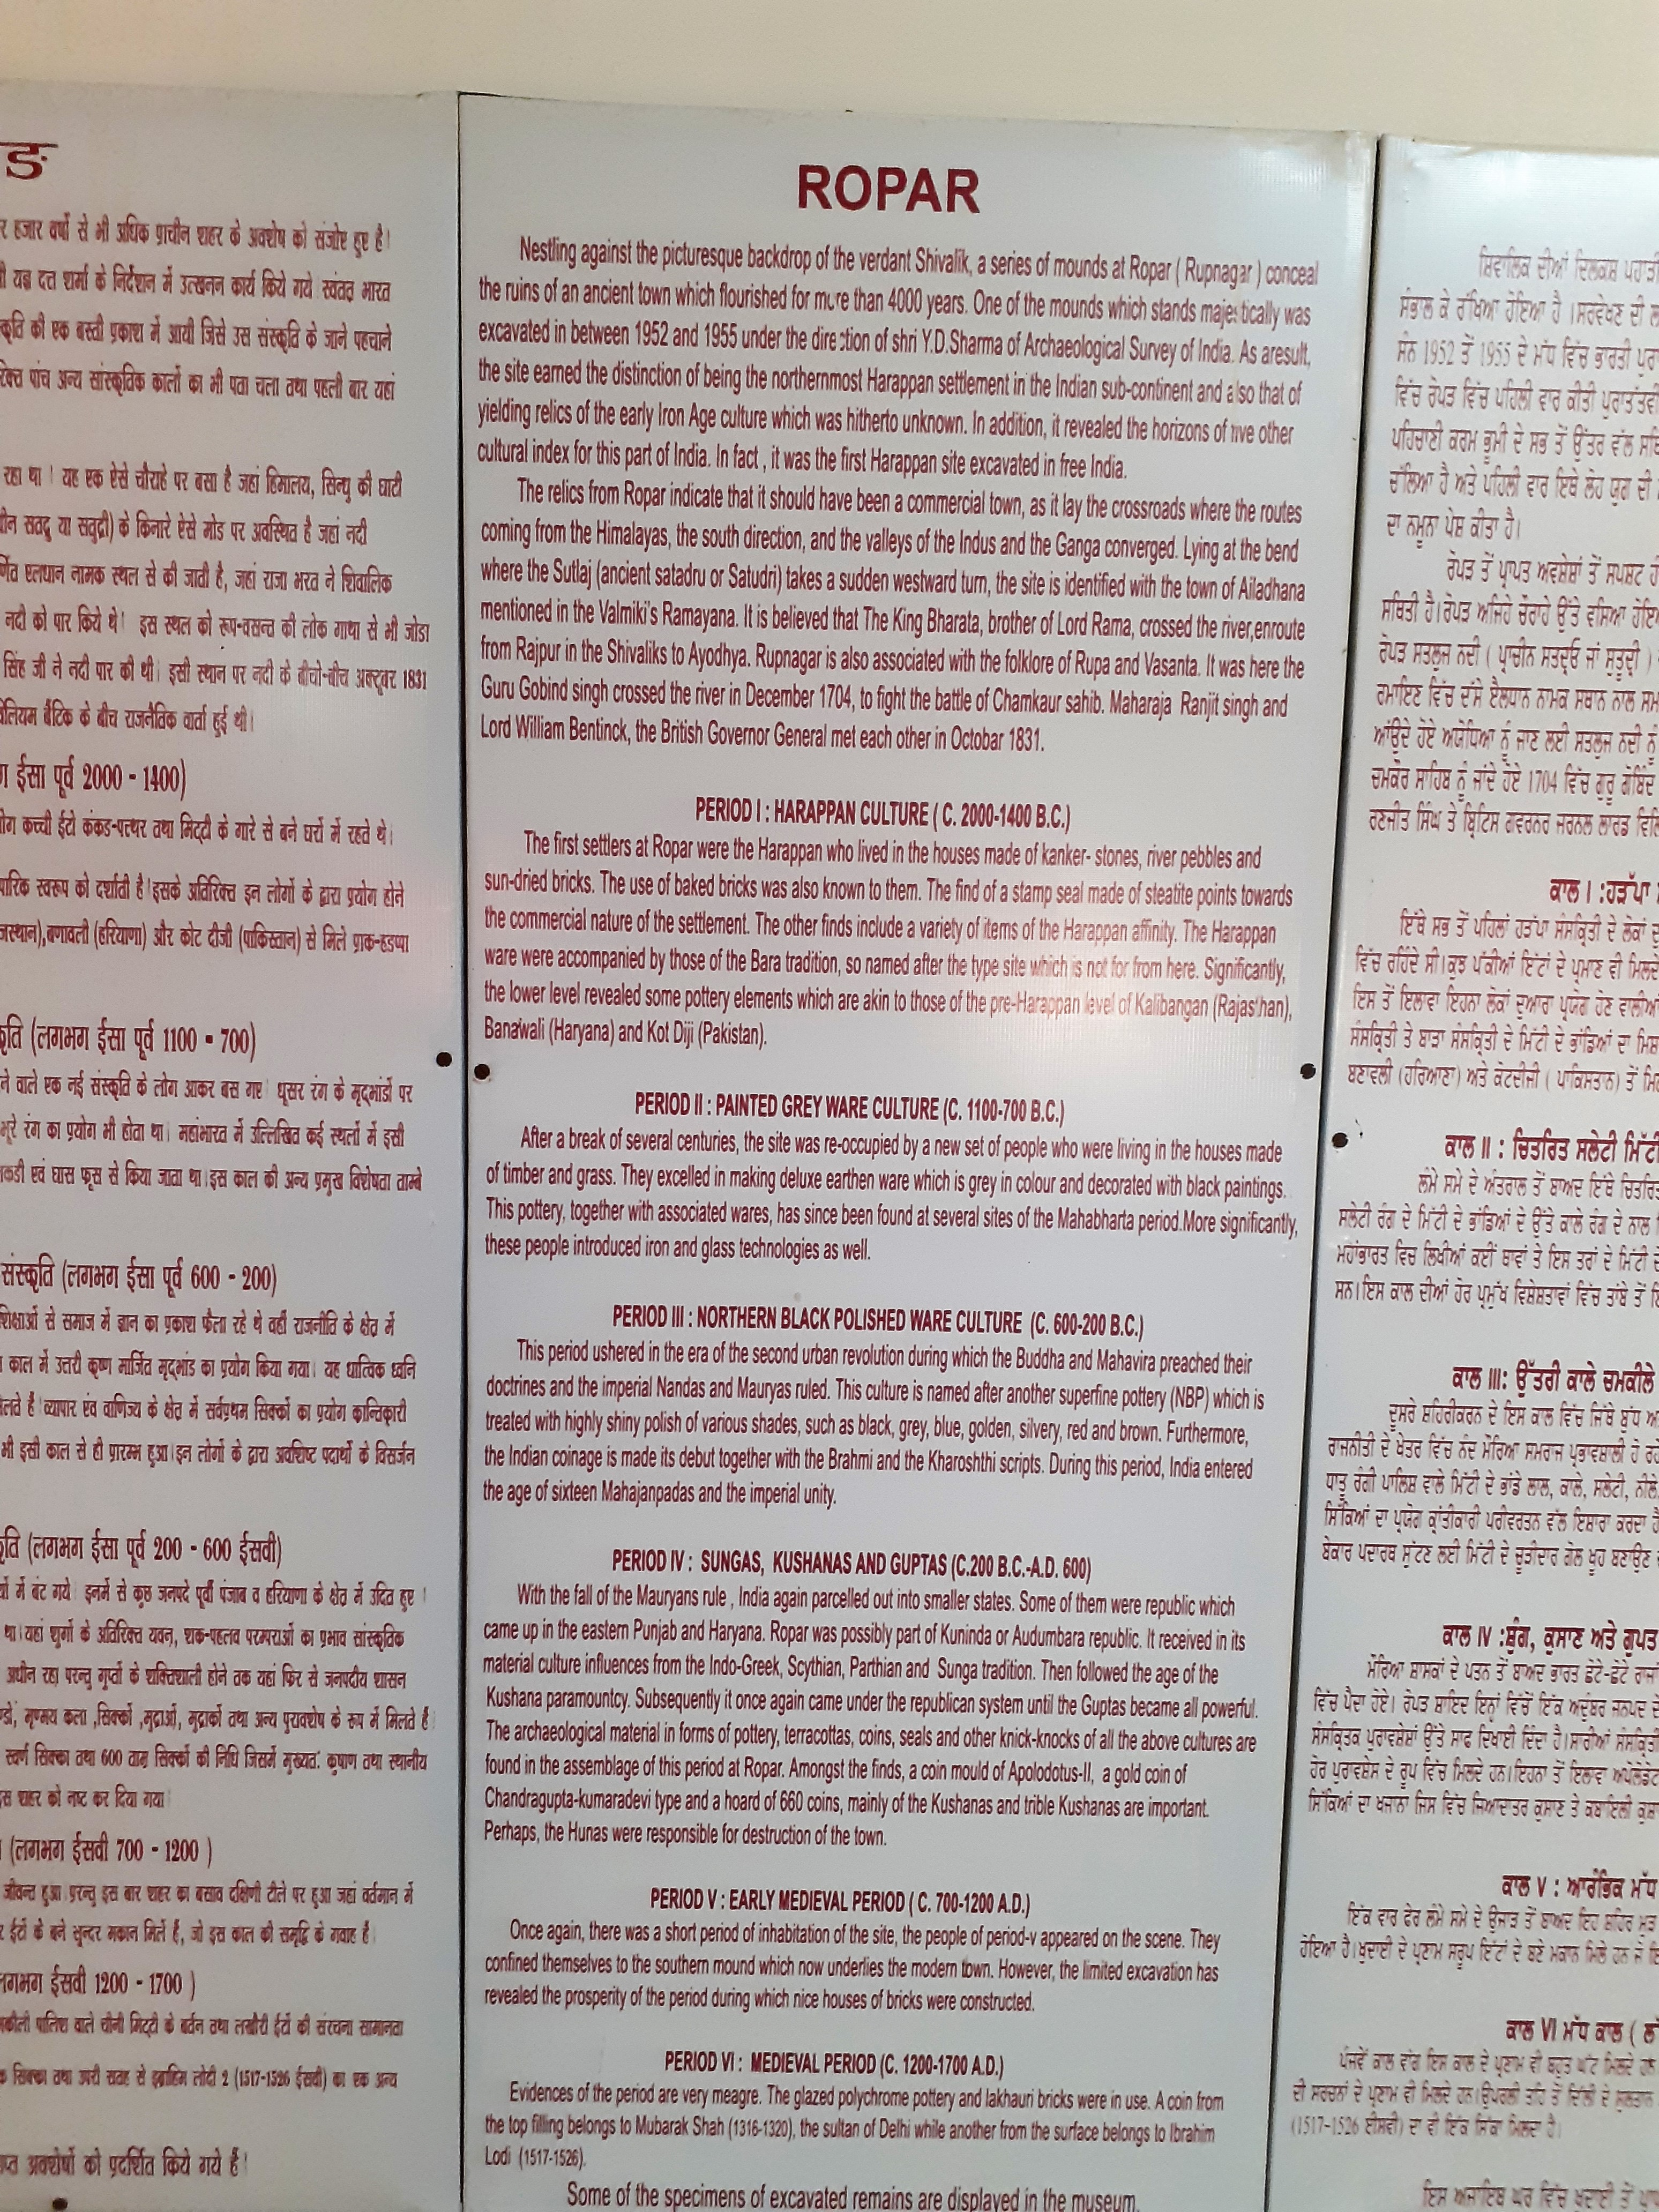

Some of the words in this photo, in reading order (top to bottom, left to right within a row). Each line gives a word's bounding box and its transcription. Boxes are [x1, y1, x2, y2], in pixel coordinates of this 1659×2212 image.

[122, 1526, 152, 1572] पूर्व
[147, 1532, 185, 1570] 200
[199, 1533, 236, 1570] 600
[236, 1526, 281, 1573] ईसवी
[610, 1547, 669, 1576] PERIOD
[667, 1546, 689, 1578] IV
[699, 1549, 764, 1575] SUNGAS.
[771, 1548, 854, 1576] KUSHANAS
[854, 1548, 887, 1576] AND
[887, 1548, 948, 1579] GUPTAS
[954, 1551, 996, 1581] C.200
[996, 1550, 1011, 1579] B.
[1010, 1550, 1025, 1580] C
[1028, 1552, 1060, 1580] A.D.
[1060, 1553, 1089, 1581] 600
[1319, 1534, 1355, 1564] ਬੇਕਾਰ
[1356, 1538, 1399, 1565] ਪਦਾਰਥ
[1399, 1538, 1434, 1572] ਸੁੱਟਣ
[1432, 1536, 1463, 1568] ਲਈ
[1463, 1534, 1497, 1571] ਮਿੱਟੀ
[1498, 1536, 1512, 1572] ਦੇ
[1510, 1539, 1564, 1579] ਚੂੜੀਦਾਰ
[1559, 1537, 1588, 1571] ਗੋਲ
[1584, 1540, 1612, 1580] ਖੂਹ
[1609, 1538, 1654, 1576] ਬਣਾਉਣ
[12, 1570, 28, 1604] में
[29, 1573, 50, 1604] बंट
[48, 1573, 78, 1605] गये
[79, 1572, 115, 1607] इनमें
[113, 1575, 131, 1606] से
[130, 1579, 155, 1612] कुछ
[155, 1576, 195, 1607] जनपदे
[193, 1576, 217, 1611] पूर्वी
[217, 1576, 249, 1605] पंजाब
[249, 1582, 263, 1606] व
[262, 1577, 311, 1610] हरियाणा
[310, 1576, 327, 1609] क‍े
[326, 1574, 350, 1608] क्षेत
[350, 1577, 368, 1611] में
[367, 1573, 397, 1611] उदित
[397, 1583, 419, 1617] हुए
[515, 1581, 548, 1607] With
[547, 1580, 572, 1607] the
[571, 1580, 597, 1609] fall
[595, 1580, 612, 1608] of
[612, 1581, 636, 1608] the
[633, 1581, 700, 1613] Mauryans
[699, 1583, 730, 1611] rule
[736, 1581, 771, 1609] India
[771, 1585, 810, 1615] again
[809, 1584, 871, 1615] parcelled
[871, 1585, 895, 1611] out
[893, 1583, 921, 1612] into
[921, 1584, 970, 1613] smaller
[970, 1587, 1013, 1614] states
[1017, 1586, 1058, 1615] Some
[1057, 1587, 1074, 1618] of
[1073, 1589, 1111, 1617] them
[1109, 1595, 1143, 1619] were
[1141, 1591, 1196, 1621] republic
[1197, 1592, 1238, 1619] which
[1, 1616, 19, 1646] था
[21, 1613, 48, 1648] यहां
[48, 1615, 79, 1650] थुर्गो
[77, 1616, 94, 1649] क‌‌ੇ
[95, 1614, 147, 1649] अतिरिक्‍त
[146, 1625, 178, 1650] यवन
[180, 1622, 245, 1651] शक-पहलव
[243, 1619, 300, 1653] परम्पराओं
[297, 1622, 317, 1649] का
[317, 1626, 349, 1653] प्रभाव
[351, 1619, 408, 1655] सांस्कृतिक
[481, 1620, 522, 1641] came
[518, 1619, 540, 1647] up
[540, 1614, 557, 1643] in
[554, 1616, 579, 1642] the
[579, 1617, 630, 1643] eastern
[631, 1613, 680, 1649] Punjab
[679, 1617, 707, 1642] and
[706, 1617, 764, 1650] Haryana.
[768, 1615, 810, 1649] Ropar
[809, 1623, 840, 1646] was
[839, 1620, 895, 1653] possibly
[894, 1622, 923, 1654] part
[922, 1617, 940, 1647] of
[939, 1620, 993, 1650] Kuninda
[993, 1625, 1012, 1647] or
[1010, 1623, 1088, 1650] Audumbara
[1087, 1624, 1141, 1654] republic
[1145, 1625, 1158, 1651] It
[1156, 1626, 1214, 1652] received
[1214, 1626, 1229, 1653] in
[1228, 1627, 1249, 1654] its
[1439, 1620, 1476, 1649] ਕਾਲ
[1474, 1620, 1497, 1650] IV
[1504, 1611, 1535, 1656] ਥੁੰਗ
[1539, 1618, 1587, 1660] ਕੁਸਣ
[1586, 1614, 1620, 1652] ਅਤੇ
[1, 1739, 32, 1770] स्वर्ण
[3, 1656, 40, 1688] अधीन
[20, 1703, 61, 1731] मृण्मय
[38, 1663, 62, 1691] रहा
[32, 1736, 73, 1772] सिक्का
[58, 1703, 92, 1732] कला
[62, 1660, 95, 1693] परन्तु
[73, 1744, 99, 1770] तथा
[96, 1657, 125, 1693] गुप्तों
[99, 1743, 125, 1770] 600
[92, 1697, 137, 1731] सिक्कों
[125, 1657, 143, 1689] के
[125, 1745, 153, 1772] ਗਸ੍ਰ
[141, 1700, 180, 1735] मुद्राओं
[151, 1739, 192, 1774] सिक्कों
[142, 1658, 205, 1690] शक्तिशाली
[191, 1741, 213, 1774] की
[183, 1700, 226, 1736] मुद्राकों
[205, 1658, 230, 1690] होने
[212, 1739, 243, 1772] निधि
[223, 1705, 252, 1733] तथा
[230, 1665, 255, 1690] तक
[241, 1739, 281, 1774] जिसमें
[250, 1707, 280, 1731] अन्य
[255, 1658, 278, 1691] यहां
[279, 1659, 306, 1693] फिर
[278, 1745, 323, 1778] मुख्यतः
[280, 1699, 328, 1737] पुरावशेष
[305, 1658, 322, 1693] से
[326, 1702, 344, 1732] के
[324, 1749, 358, 1779] कुषाण
[322, 1661, 372, 1691] जनपदीय
[345, 1709, 367, 1732] रूप
[358, 1750, 386, 1772] तथा
[367, 1704, 382, 1732] में
[372, 1670, 412, 1692] शासन
[381, 1701, 418, 1732] मिलते
[386, 1745, 430, 1774] स्थानीय
[420, 1702, 432, 1733] र्है
[484, 1717, 512, 1743] The
[483, 1752, 523, 1778] found
[480, 1649, 536, 1675] material
[485, 1682, 545, 1711] Kushana
[522, 1751, 539, 1777] in
[536, 1750, 562, 1778] the
[535, 1650, 582, 1675] culture
[512, 1716, 609, 1751] archaeological
[544, 1687, 632, 1717] paramountcy.
[559, 1752, 641, 1785] assemblage
[582, 1648, 654, 1678] influences
[609, 1716, 663, 1744] material
[639, 1750, 657, 1778] of
[651, 1650, 683, 1677] from
[662, 1721, 677, 1744] in
[657, 1752, 685, 1781] this
[634, 1683, 722, 1716] Subsequently
[683, 1651, 708, 1678] the
[677, 1716, 716, 1745] forms
[682, 1752, 727, 1784] period
[715, 1718, 733, 1746] of
[721, 1687, 735, 1712] it
[726, 1754, 742, 1782] at
[707, 1652, 783, 1677] Indo-Greek,
[734, 1687, 768, 1712] once
[731, 1721, 780, 1751] pottery
[741, 1754, 787, 1785] Ropar.
[768, 1686, 806, 1716] again
[785, 1651, 845, 1685] Scythian,
[786, 1754, 847, 1786] Amongst
[783, 1723, 854, 1748] terracottas,
[806, 1691, 845, 1713] came
[846, 1754, 870, 1782] the
[843, 1688, 886, 1716] under
[856, 1723, 894, 1747] coins,
[847, 1653, 905, 1679] Parthian
[870, 1754, 903, 1784] finds,
[886, 1686, 908, 1715] the
[906, 1760, 920, 1784] a
[898, 1724, 935, 1748] seals
[903, 1654, 931, 1682] and
[918, 1756, 950, 1783] coin
[907, 1689, 977, 1720] republican
[934, 1724, 964, 1750] and
[933, 1654, 980, 1687] Sunga
[950, 1759, 991, 1783] mould
[961, 1724, 999, 1749] other
[989, 1757, 1008, 1785] of
[976, 1692, 1025, 1723] system
[980, 1655, 1034, 1682] tradition
[1024, 1690, 1056, 1718] until
[997, 1724, 1083, 1751] knick-knocks
[1005, 1756, 1095, 1789] Apolodotus-II.
[1037, 1656, 1077, 1684] Then
[1056, 1690, 1079, 1720] the
[1083, 1723, 1098, 1751] of
[1074, 1653, 1131, 1684] followed
[1079, 1691, 1129, 1722] Guptas
[1098, 1761, 1112, 1787] a
[1097, 1724, 1116, 1753] all
[1115, 1727, 1138, 1753] the
[1111, 1758, 1144, 1792] gold
[1132, 1661, 1154, 1684] the
[1128, 1693, 1182, 1720] became
[1144, 1758, 1172, 1786] coin
[1138, 1727, 1180, 1753] above
[1154, 1662, 1180, 1690] age
[1172, 1759, 1192, 1787] of
[1180, 1658, 1197, 1686] of
[1181, 1693, 1201, 1723] all
[1181, 1726, 1235, 1756] cultures
[1195, 1660, 1222, 1687] the
[1199, 1695, 1258, 1724] powerful.
[1234, 1730, 1260, 1755] are
[1306, 1751, 1329, 1784] ਹੋਰ
[1311, 1683, 1341, 1716] ਵਿਂਚ
[1307, 1715, 1365, 1752] ਸੰਸਕ੍ਰਿਤਕ
[1339, 1681, 1369, 1715] ਪੈਦਾ
[1328, 1753, 1384, 1786] ਪੁਰਾਵਸ਼ੇਸ
[1369, 1683, 1392, 1715] ਹੋਏ
[1363, 1649, 1407, 1683] ਮੋਰਿਆ
[1382, 1752, 1399, 1783] ਦੇ
[1364, 1719, 1421, 1753] ਪੁਰਾਵਸ਼ੇਸ਼ਾਂ
[1396, 1759, 1419, 1792] ਰੂਪ
[1399, 1685, 1432, 1715] ਰੋਪੜ
[1406, 1651, 1447, 1684] ਸ਼ਾਸਕਾਂ
[1421, 1717, 1447, 1756] ਉੱਤੇ
[1419, 1755, 1450, 1784] ਵਿੱਚ
[1431, 1683, 1472, 1718] ਥਾਇਦ
[1448, 1653, 1462, 1683] ਦੇ
[1446, 1722, 1475, 1751] ਸਾਫ
[1449, 1752, 1486, 1786] ਮਿਲਦੇ
[1463, 1655, 1494, 1686] ਪਤਨ
[1471, 1685, 1504, 1725] ਇਨ੍ਹਾਂ
[1474, 1721, 1519, 1754] ਦਿਖਾਈ
[1486, 1759, 1508, 1788] ਹਨ
[1492, 1653, 1511, 1683] ਤੋਂ
[1504, 1682, 1536, 1721] ਵਿੱਚੋਂ
[1507, 1657, 1549, 1684] ਬਾਅਦ
[1510, 1756, 1549, 1787] ਇਹਨਾ
[1518, 1720, 1552, 1755] ਦਿੰਦਾ
[1536, 1685, 1567, 1721] ਇੱਕ
[1551, 1720, 1564, 1754] ਹੈ
[1550, 1752, 1567, 1788] ਤੋਂ
[1548, 1660, 1583, 1687] ਭਾਰਤ
[1566, 1686, 1608, 1724] ਅਦੁੰਬਰ
[1565, 1756, 1611, 1791] ਇਲਾਵਾ
[1567, 1723, 1614, 1756] ਸਾਰੀਆਂ
[1583, 1654, 1632, 1690] ਛਟੇ-ਛੋਟੇ
[1608, 1692, 1650, 1722] ਜਨਪਦ
[13, 1785, 44, 1812] शहर
[43, 1781, 65, 1812] काे
[66, 1785, 91, 1813] नष्ट
[89, 1784, 112, 1812] क‍र
[111, 1780, 141, 1815] दिया
[142, 1786, 168, 1813] गया
[482, 1785, 655, 1815] Chandragupta-kumaradevi
[652, 1787, 683, 1819] type
[682, 1787, 712, 1814] and
[711, 1791, 723, 1813] a
[723, 1788, 761, 1814] hoard
[761, 1785, 779, 1814] of
[778, 1786, 805, 1815] 660
[804, 1789, 843, 1816] coins,
[844, 1787, 890, 1821] mainly
[890, 1788, 907, 1815] of
[906, 1788, 930, 1818] the
[928, 1788, 994, 1817] Kushanas
[994, 1791, 1025, 1817] and
[1021, 1791, 1057, 1818] trible
[1054, 1791, 1122, 1820] Kushanas
[1120, 1797, 1145, 1820] are
[1144, 1792, 1210, 1827] important.
[1303, 1782, 1356, 1819] ਸਿੱਕਿਆਂ
[1352, 1789, 1374, 1817] ਦਾ
[1372, 1789, 1414, 1819] ਖਜਾਨਾ
[1412, 1785, 1441, 1820] ਜਿਸ
[1438, 1788, 1470, 1820] ਵਿੱਚ
[1468, 1788, 1532, 1820] ਜਿਆਦਾਤਰ
[1532, 1793, 1569, 1824] ਕੁਸਾਣ
[1568, 1788, 1586, 1821] ਤੇ
[1582, 1789, 1638, 1823] ਕਬਾਇਲੀ
[12, 1835, 69, 1866] ਲਗਮਗ
[69, 1826, 112, 1871] ईसवीं
[113, 1832, 147, 1865] 700
[163, 1831, 206, 1866] 1200
[482, 1816, 537, 1850] Perhaps
[542, 1818, 566, 1843] the
[564, 1817, 611, 1844] Hunas
[610, 1824, 644, 1843] were
[645, 1821, 721, 1848] responsible
[719, 1818, 741, 1847] for
[740, 1821, 813, 1848] destruction
[812, 1819, 830, 1848] of
[827, 1819, 852, 1847] the
[851, 1821, 886, 1847] town.
[7, 1911, 31, 1946] ईटों
[1, 1873, 39, 1907] जीवन्त
[0, 1967, 49, 2000] गभग
[29, 1914, 47, 1944] के
[38, 1880, 65, 1911] हुआ
[47, 1914, 70, 1944] बने
[47, 1959, 92, 2001] ईसवी
[65, 1878, 99, 1909] परन्तु
[70, 1919, 104, 1951] सुन्दर
[98, 1882, 122, 1907] इस
[92, 1969, 130, 1996] 1200
[105, 1921, 141, 1945] मकान
[121, 1880, 145, 1905] बार
[140, 1915, 170, 1945] मिलें
[143, 1880, 174, 1906] शहर
[148, 1971, 186, 1998] 1700
[169, 1914, 183, 1948] हैं
[174, 1882, 194, 1906] का
[188, 1916, 207, 1945] जो़
[192, 1880, 227, 1907] बसाव
[204, 1922, 229, 1948] इस
[230, 1922, 258, 1946] काल
[226, 1875, 265, 1909] दक्षिणी
[257, 1916, 277, 1946] काे
[265, 1874, 289, 1907] टीले
[275, 1915, 312, 1952] समृद्वि
[289, 1881, 309, 1906] पर
[311, 1918, 326, 1947] के
[309, 1882, 334, 1911] हुआ
[327, 1920, 358, 1948] गवाह
[335, 1877, 360, 1908] जहां
[358, 1917, 374, 1948] है
[360, 1877, 400, 1907] वर्तमान
[401, 1877, 417, 1907] में
[481, 1983, 540, 2007] revealed
[482, 1950, 541, 1973] confined
[505, 1916, 546, 1941] Once
[539, 1982, 564, 2009] the
[546, 1914, 583, 1948] again
[540, 1950, 614, 1974] themselves
[563, 1982, 629, 2014] prosperity
[587, 1918, 623, 1944] there
[614, 1951, 630, 1976] to
[627, 1981, 645, 2013] of
[622, 1924, 652, 1945] was
[629, 1951, 653, 1978] the
[644, 1982, 668, 2011] the
[650, 1922, 664, 1944] a
[647, 1884, 707, 1911] PERIOD
[662, 1918, 699, 1944] short
[653, 1952, 711, 1977] southern
[668, 1984, 708, 2012] period
[706, 1886, 721, 1912] V
[698, 1919, 741, 1950] period
[707, 1982, 753, 2016] during
[711, 1953, 758, 1978] mound
[741, 1918, 757, 1944] of